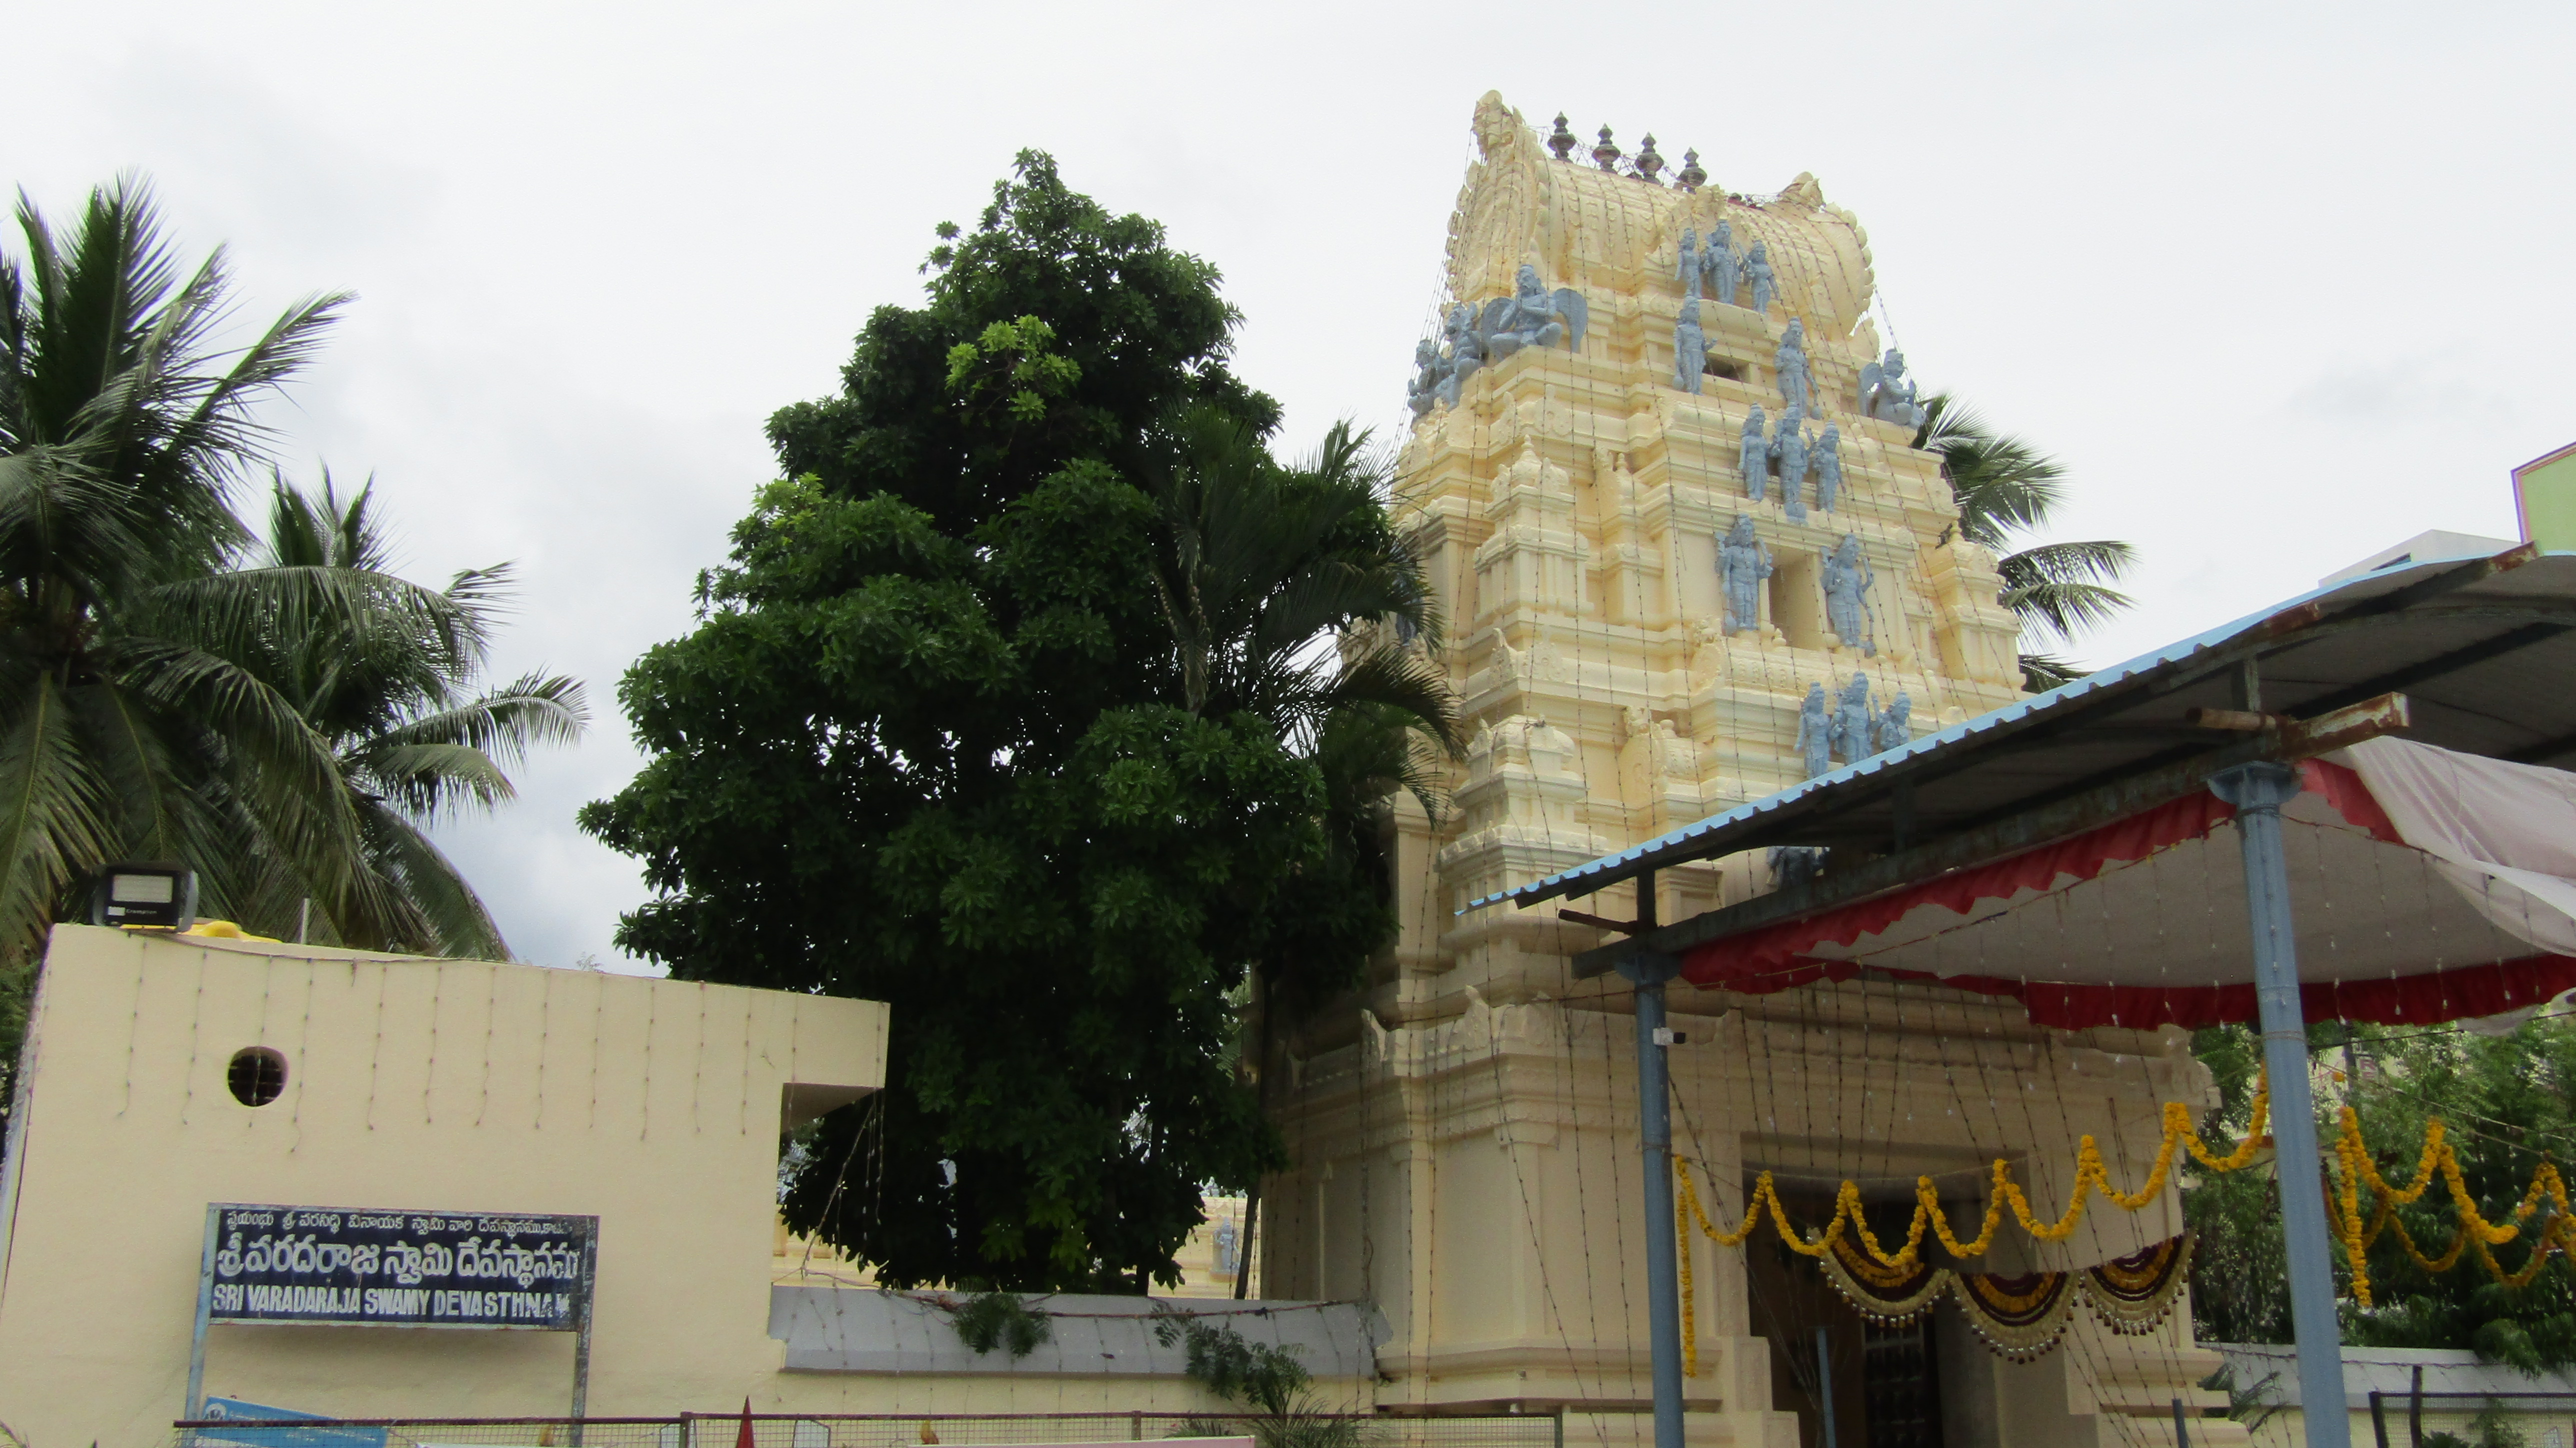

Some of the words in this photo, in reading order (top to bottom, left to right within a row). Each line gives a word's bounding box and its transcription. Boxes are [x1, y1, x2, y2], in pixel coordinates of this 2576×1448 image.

[225, 1205, 278, 1234] స్వయంభు
[278, 1207, 299, 1233] శ్ర
[295, 1207, 344, 1236] వరనిద్ధి
[344, 1212, 407, 1233] వినాయక
[408, 1212, 447, 1238] స్వామి
[446, 1216, 473, 1235] వారి
[214, 1228, 457, 1288] శ్రీవరదరాజ స్వామి
[456, 1231, 581, 1290] దేవస్థానమ
[208, 1281, 249, 1313] SRI
[246, 1281, 363, 1316] VARADARAJA
[360, 1285, 433, 1316] SWAMY
[430, 1288, 573, 1321] DEVASTHNAM